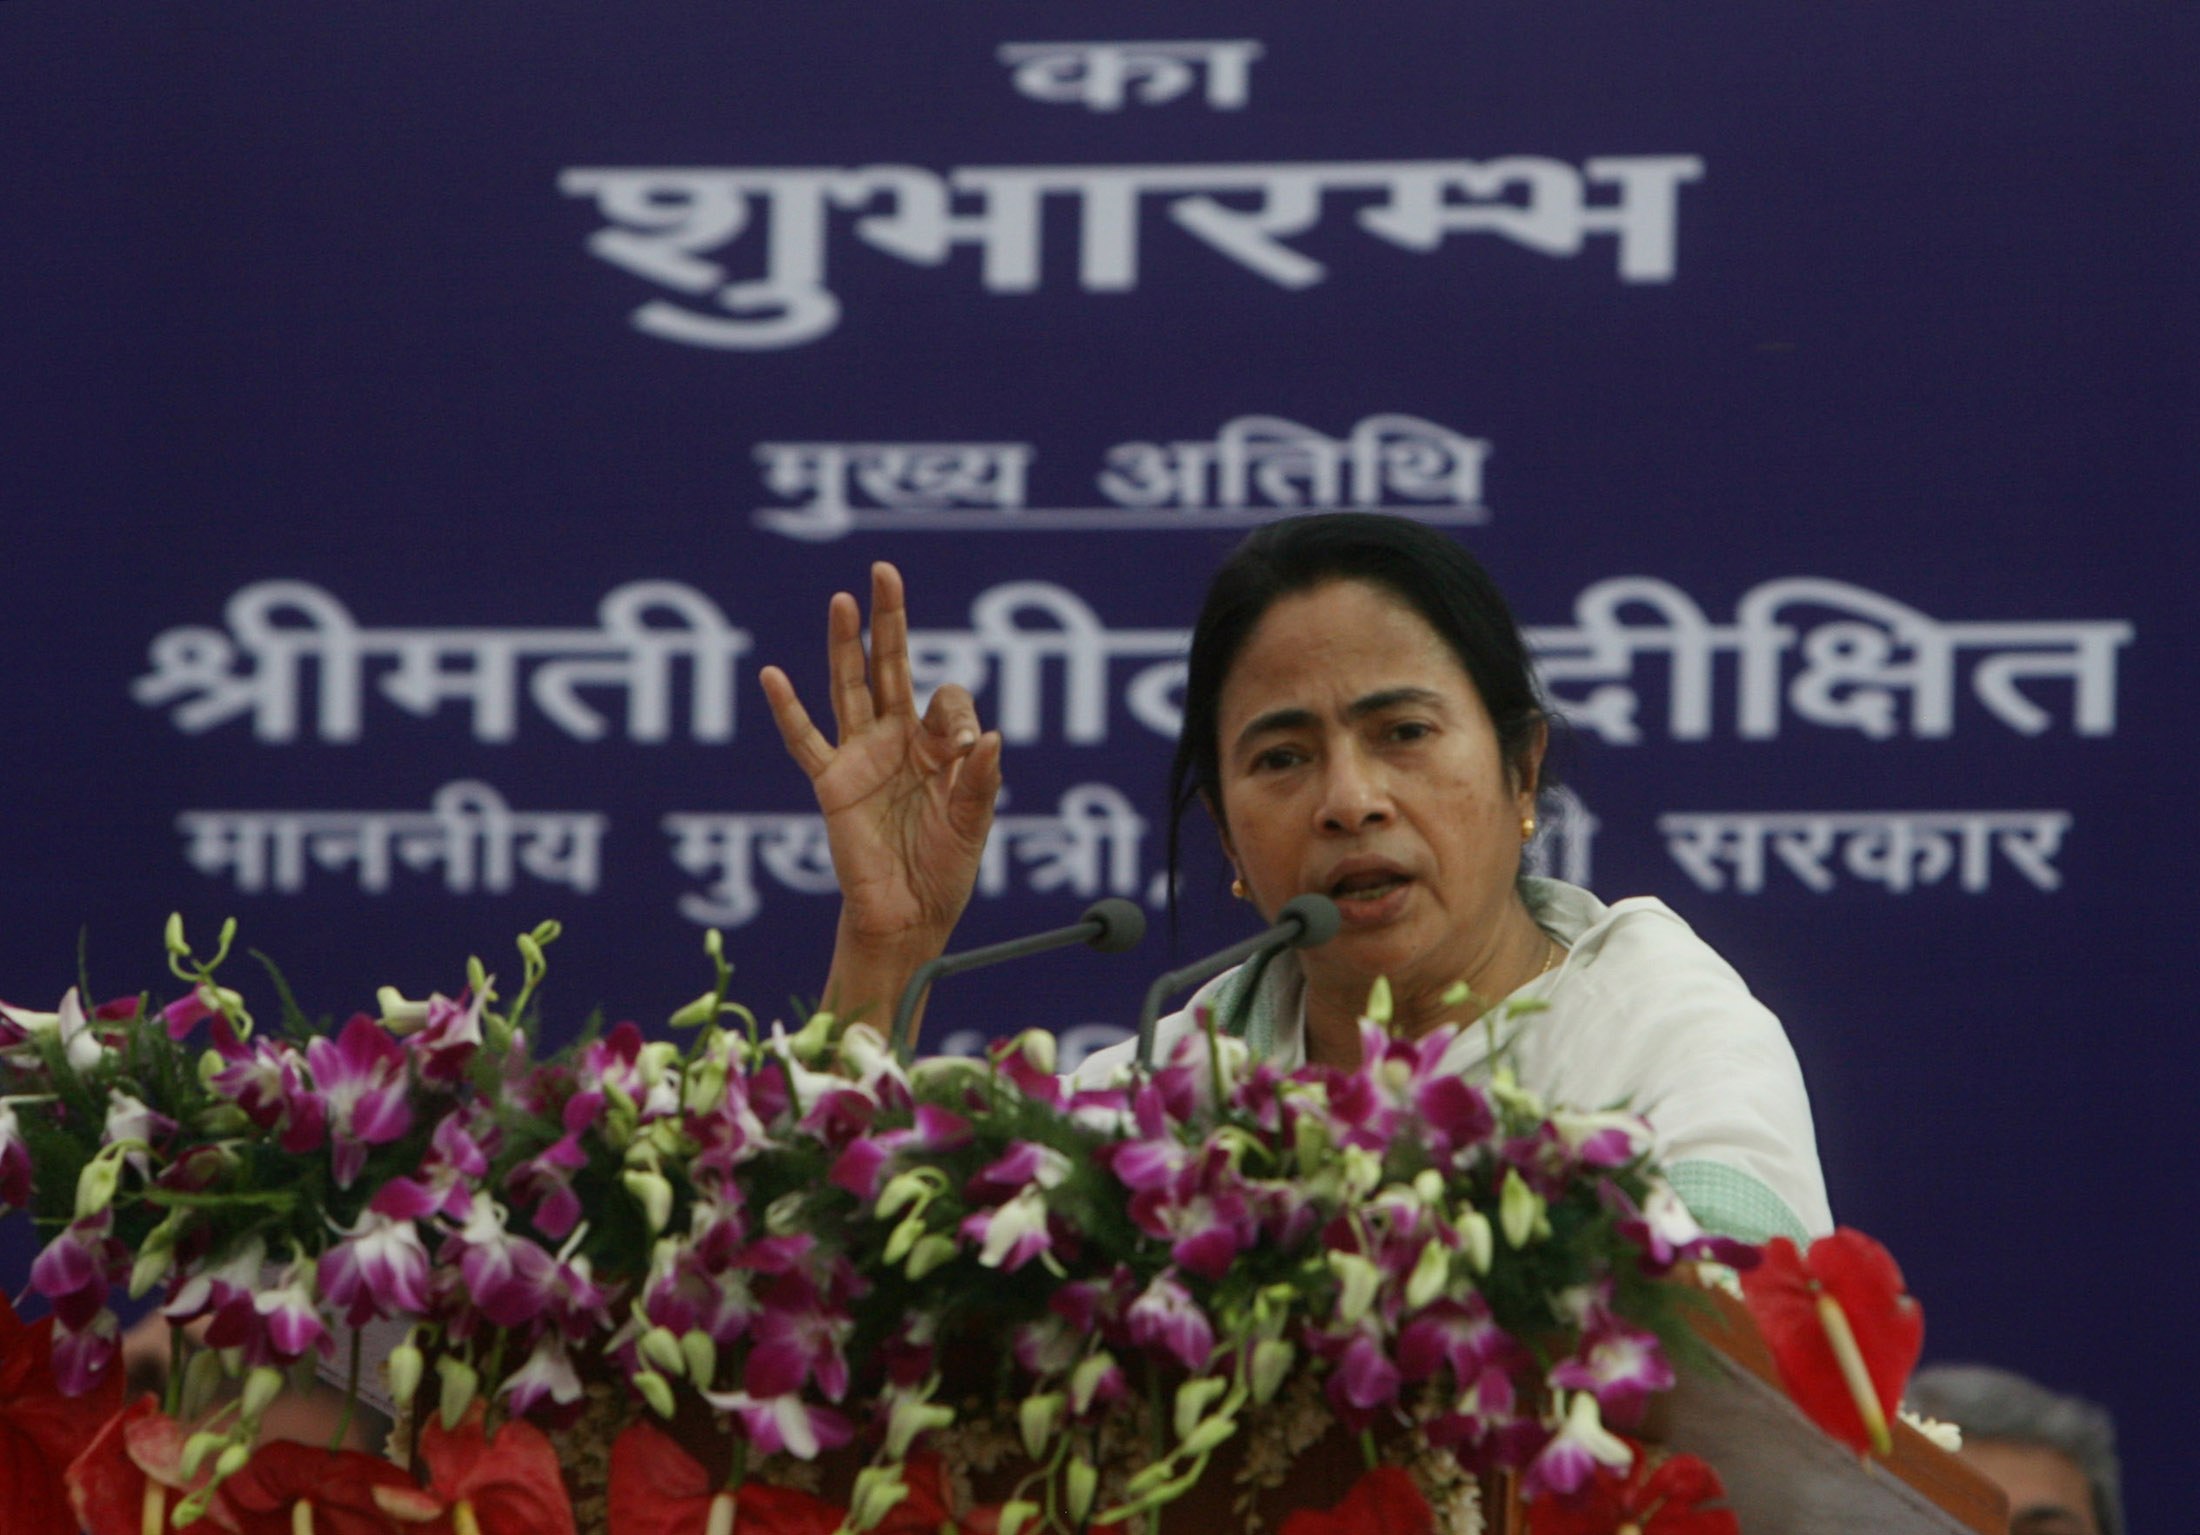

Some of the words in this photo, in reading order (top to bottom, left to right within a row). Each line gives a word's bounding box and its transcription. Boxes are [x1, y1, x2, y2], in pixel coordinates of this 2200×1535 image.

[1003, 32, 1266, 119] का
[563, 150, 1707, 360] शुभारम्भ
[748, 436, 1041, 552] मुख्य
[1087, 400, 1501, 519] अतिथि
[123, 571, 753, 756] श्रीमती
[1529, 561, 2133, 755] दीक्षित
[176, 770, 610, 907] माननीय
[670, 775, 1152, 940] मुख्यमंत्री
[1649, 804, 2074, 904] सरकार